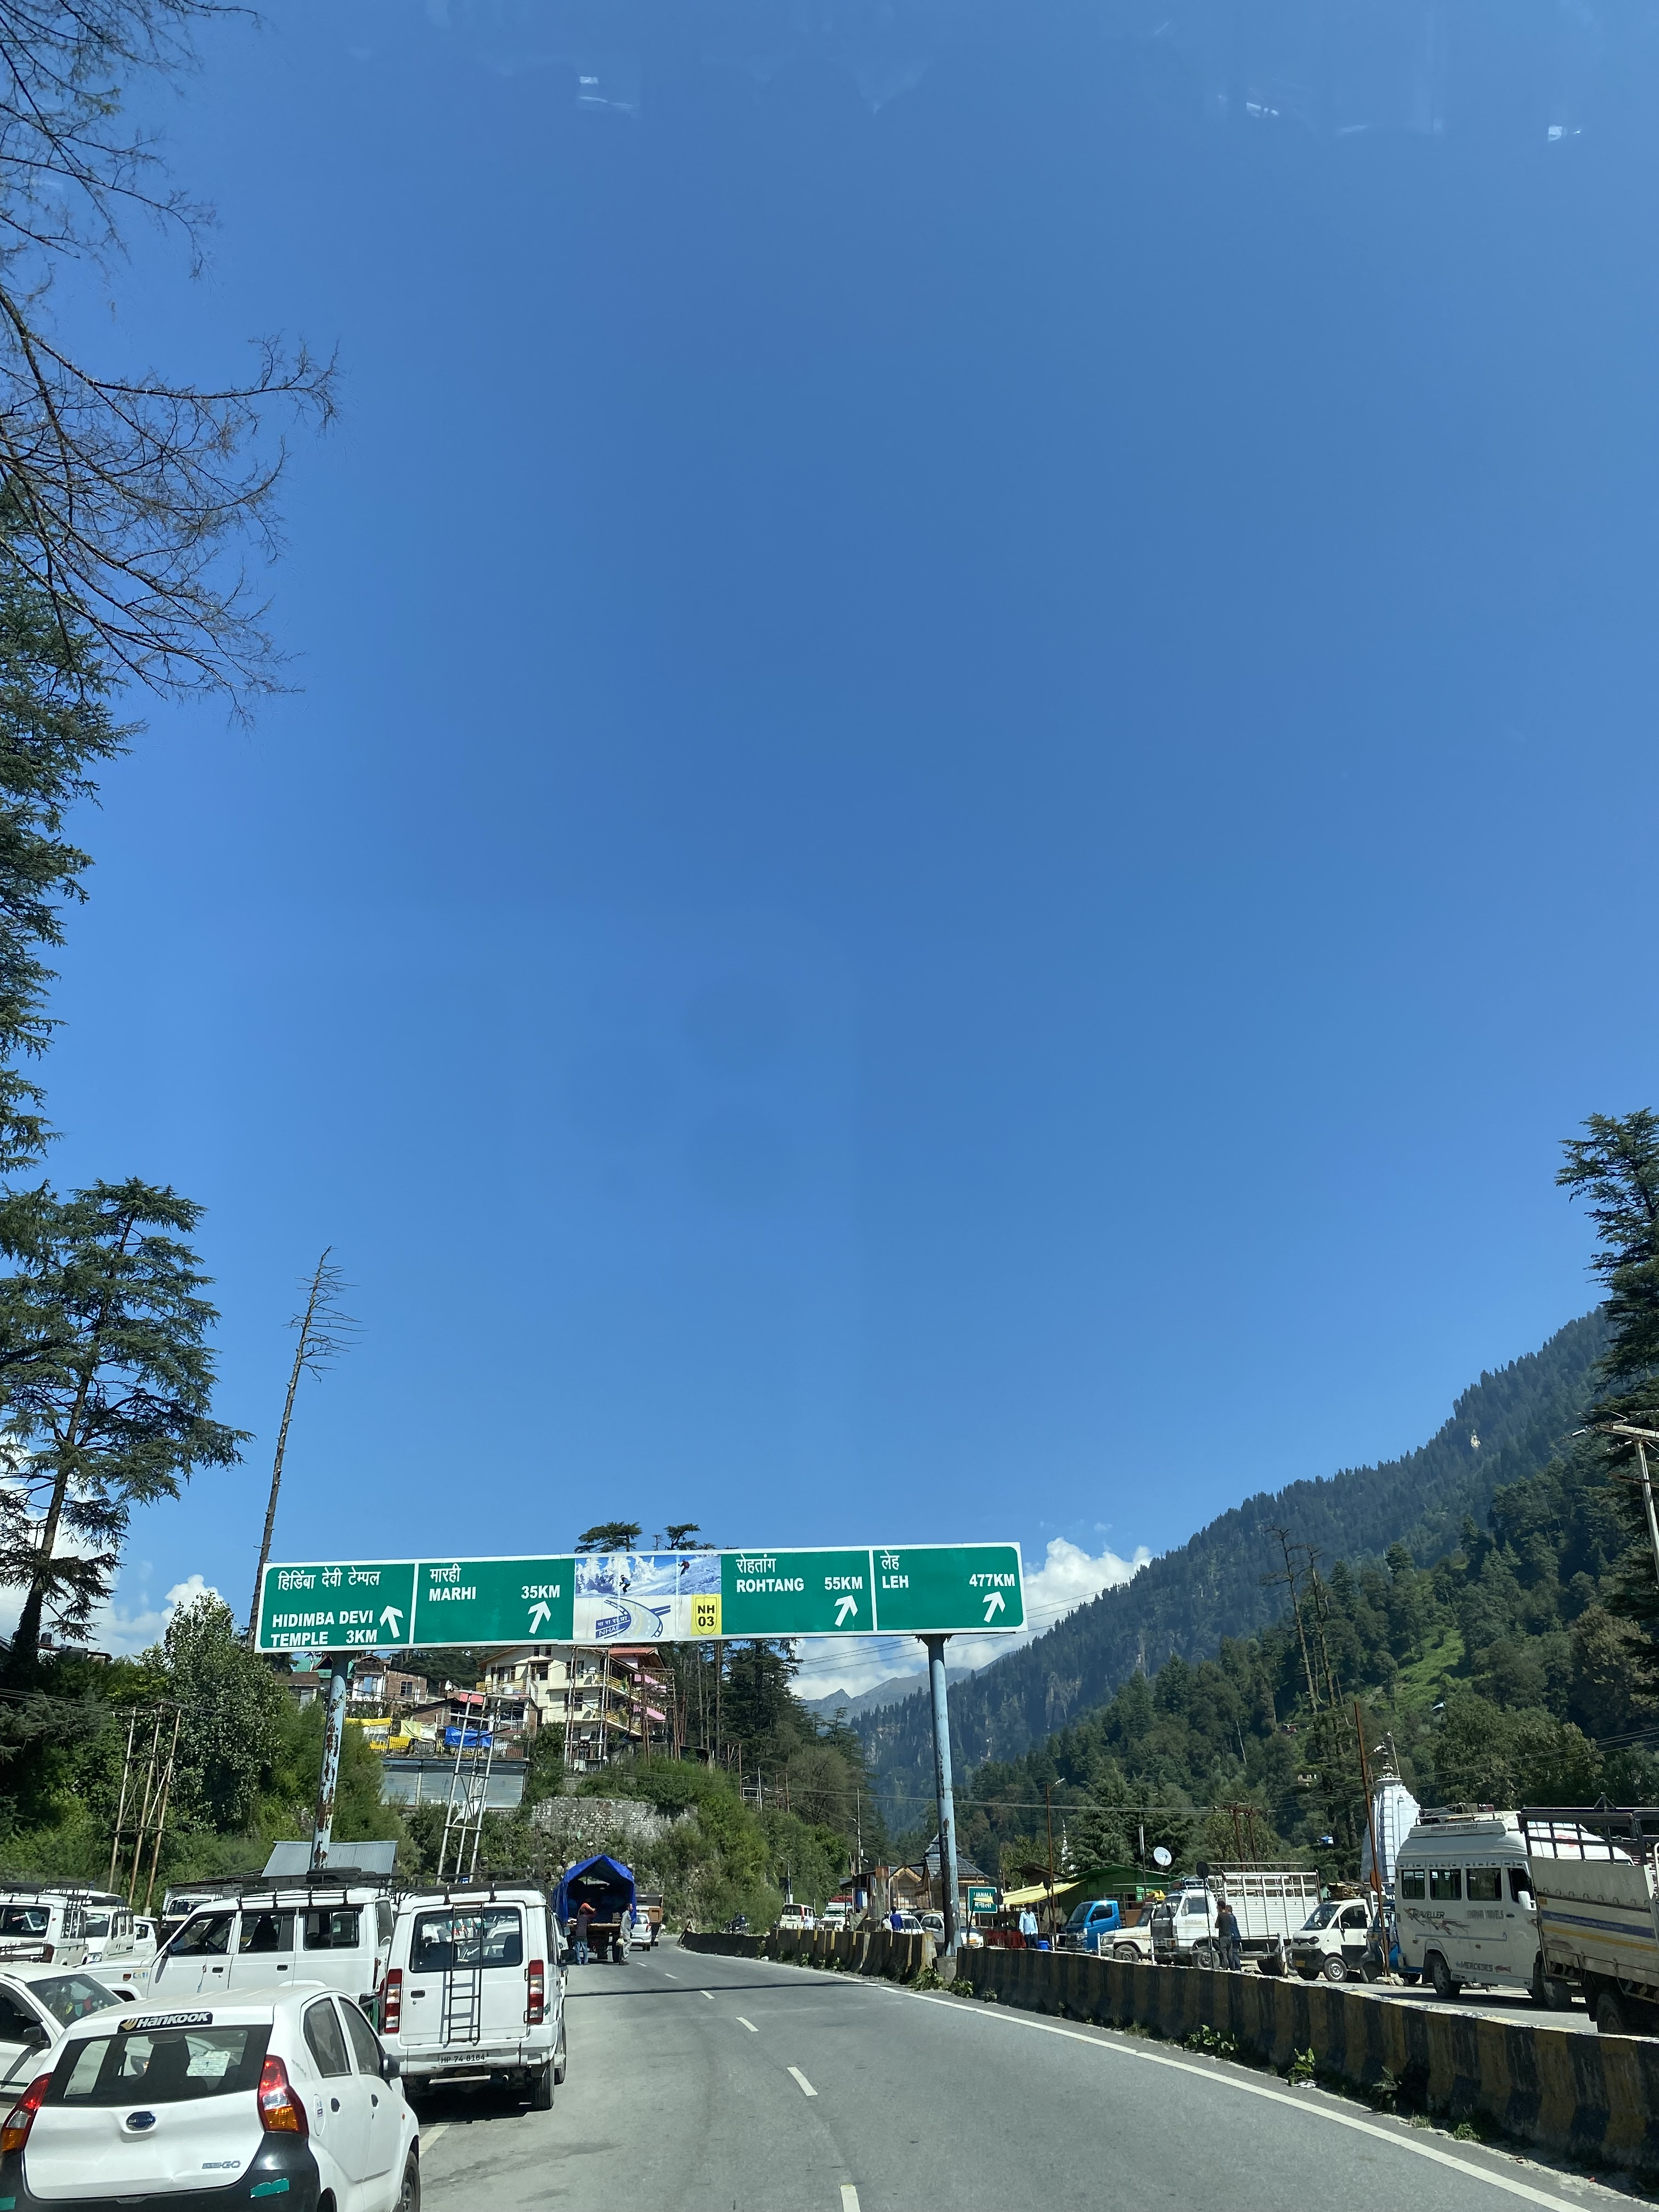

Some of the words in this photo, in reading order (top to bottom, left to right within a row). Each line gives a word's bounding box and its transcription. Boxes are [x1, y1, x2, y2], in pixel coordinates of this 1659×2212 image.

[275, 1565, 319, 1592] हिडिंबा
[319, 1564, 346, 1589] देवी
[343, 1561, 385, 1588] टेम्पल
[424, 1560, 467, 1583] मारही
[425, 1584, 479, 1604] MARHI
[520, 1581, 563, 1602] 35KM
[733, 1549, 777, 1575] रोहतांग
[735, 1572, 808, 1595] ROHTANG
[820, 1572, 867, 1594] 55KM
[876, 1544, 904, 1572] लेह
[880, 1572, 912, 1592] LEH
[966, 1570, 1018, 1592] 477KM
[270, 1609, 338, 1630] HIDIMBA
[337, 1606, 375, 1626] DEVI
[270, 1626, 330, 1648] TEMPLE
[341, 1628, 379, 1647] 3KM